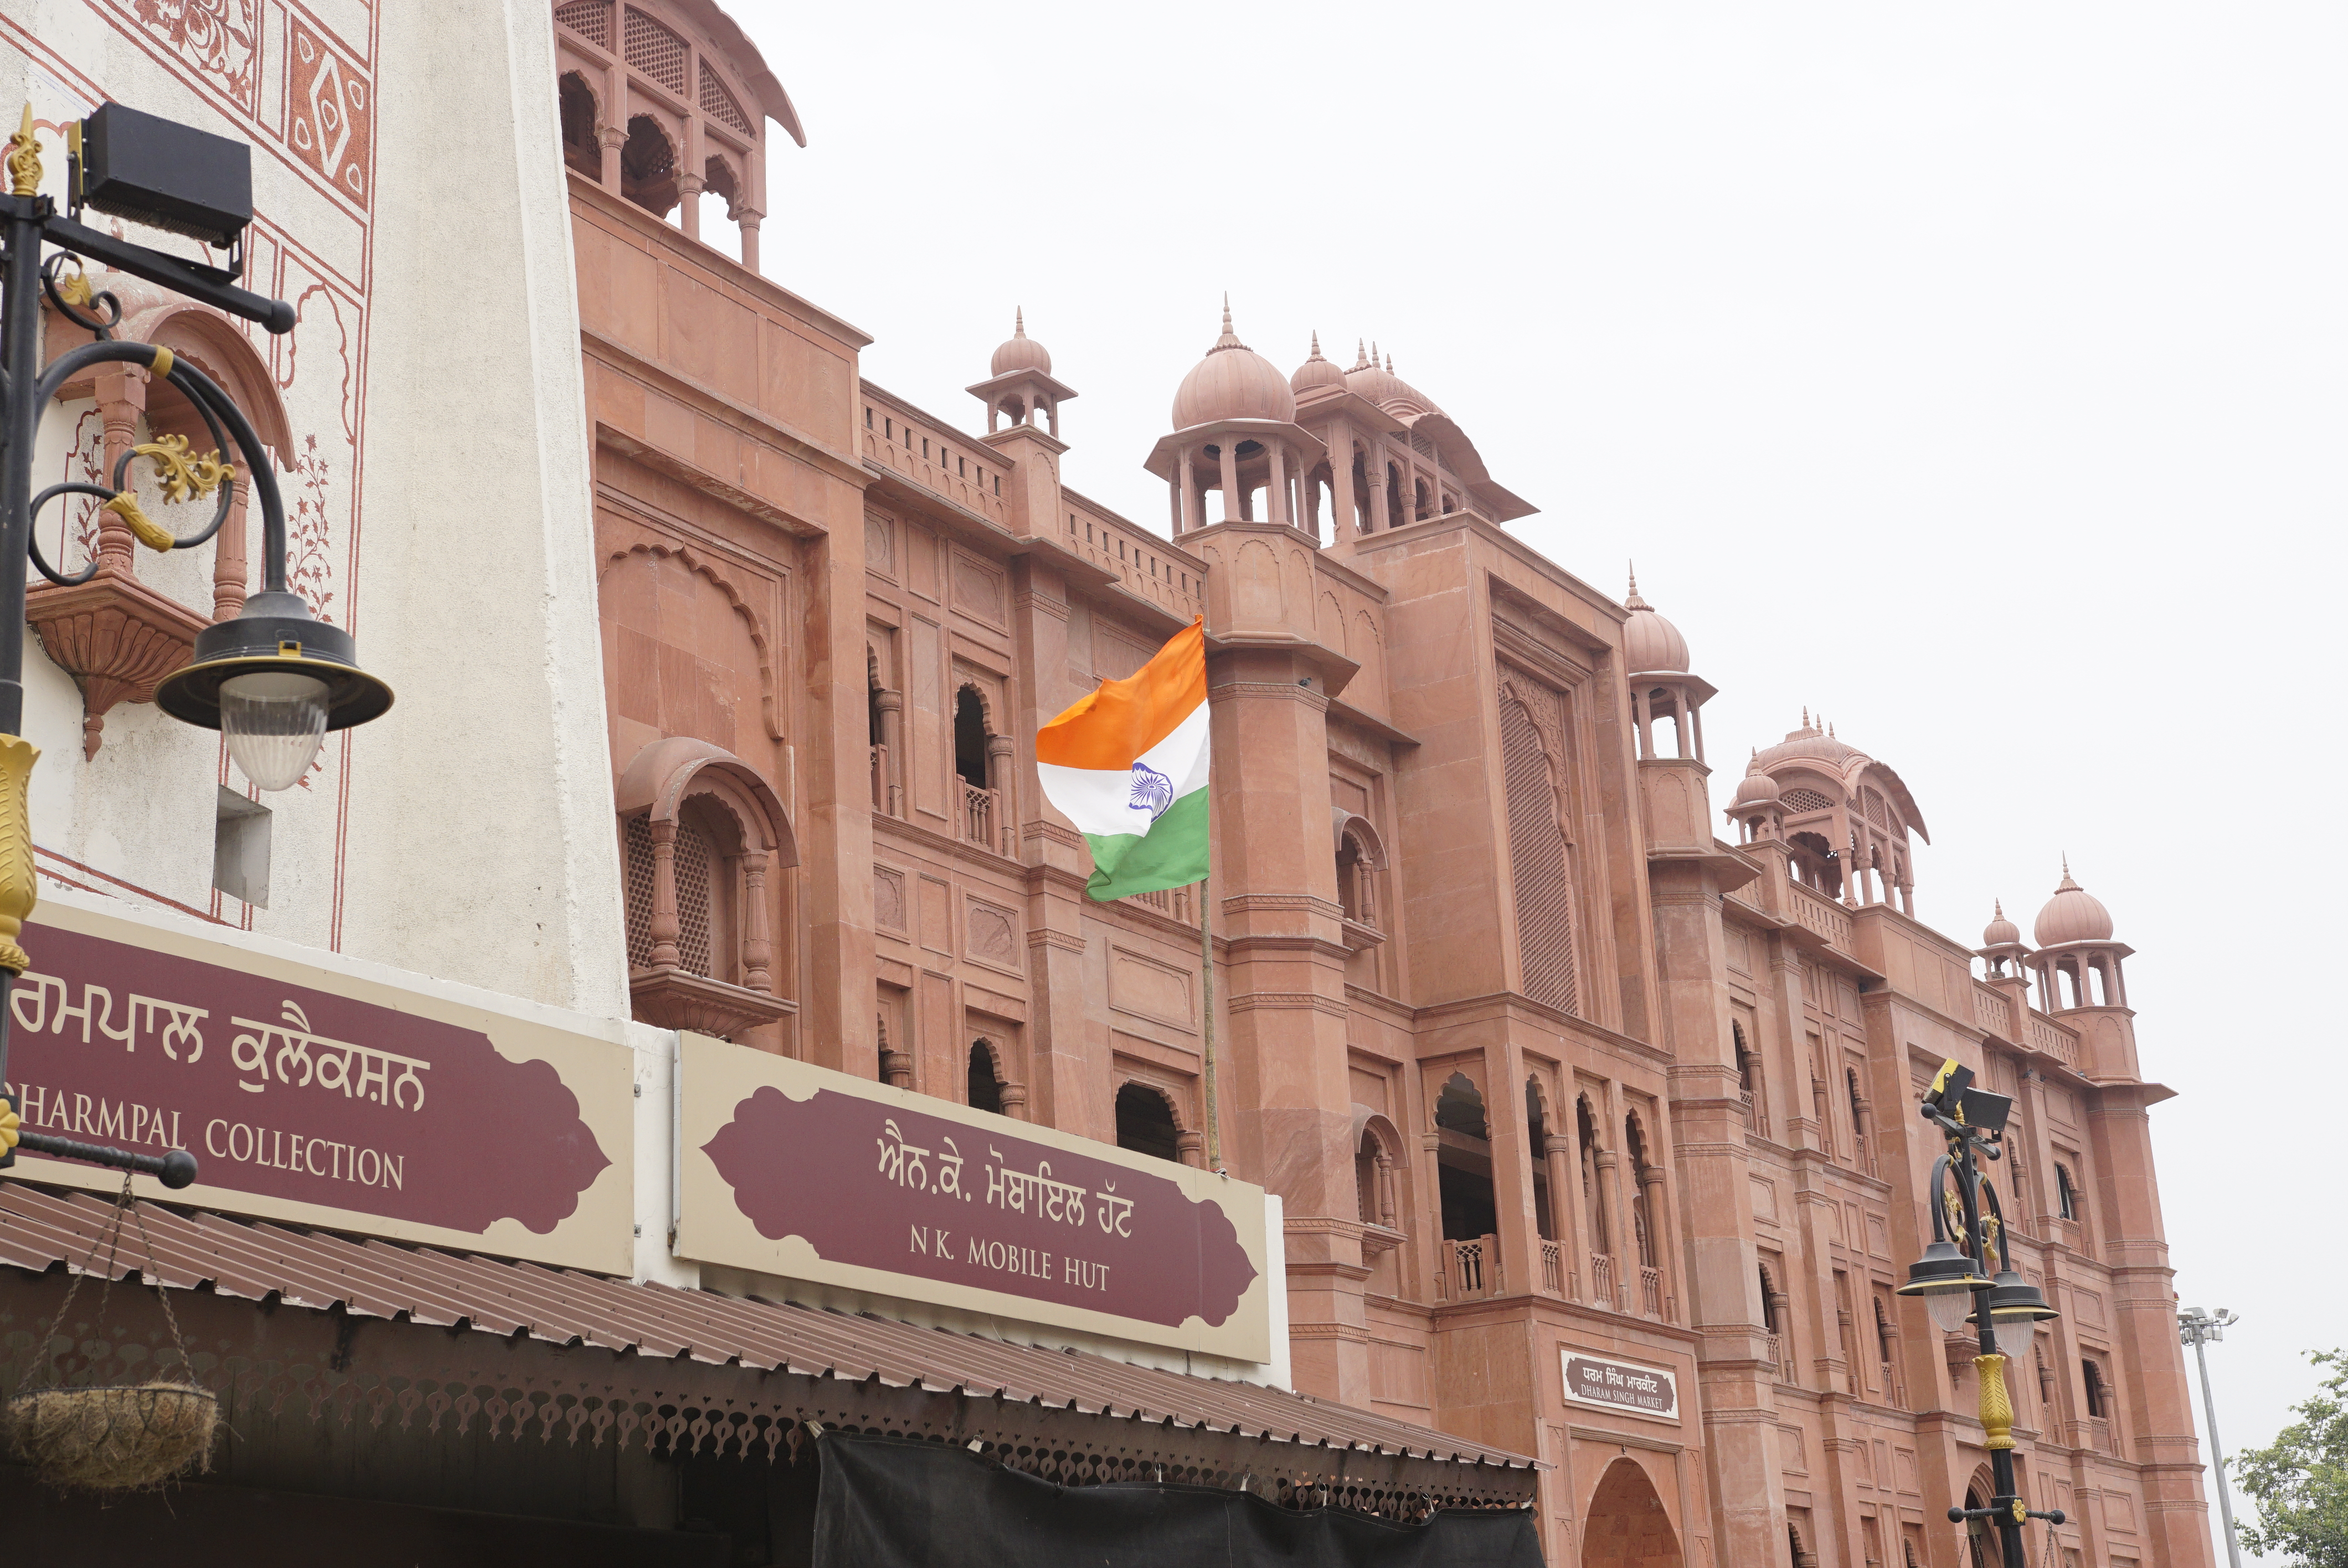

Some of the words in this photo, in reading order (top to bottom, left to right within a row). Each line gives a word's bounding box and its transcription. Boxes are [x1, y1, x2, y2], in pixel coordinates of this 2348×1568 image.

[5, 965, 216, 1079] ਰਮਪਾਲ
[217, 991, 438, 1132] ਕੁਲੈਕਸ਼ਨ
[15, 1074, 194, 1156] HARMPAL
[197, 1107, 417, 1198] COLLECTION
[867, 1111, 976, 1209] ਐਨ.ਕੇ.
[980, 1138, 1092, 1232] ਮੋਬਾਇਲ
[1090, 1175, 1139, 1247] ਹੱਟ
[902, 1218, 957, 1266] NK
[963, 1232, 1055, 1283] MOBILE
[1059, 1252, 1114, 1295] HUT
[1580, 1365, 1604, 1386] ਧਰਮ
[1578, 1382, 1612, 1402] DHARAM
[1603, 1365, 1626, 1389] ਸਿੰਘ
[1611, 1387, 1636, 1406] SINGH
[1625, 1372, 1661, 1396] ਮਾਰਕੀਟ
[1635, 1391, 1664, 1411] MARKET